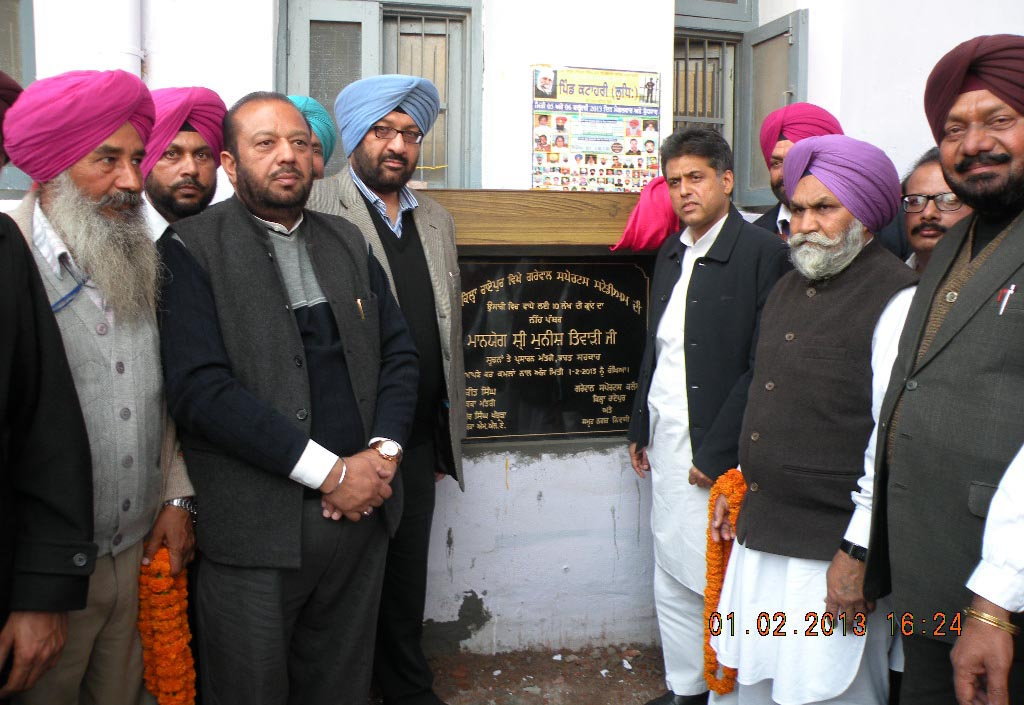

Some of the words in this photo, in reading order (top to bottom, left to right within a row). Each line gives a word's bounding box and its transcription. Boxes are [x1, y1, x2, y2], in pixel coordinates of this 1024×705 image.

[558, 75, 579, 99] ਪਿਂਡ
[575, 78, 613, 100] ਕਟਾਹਰੀ
[612, 79, 639, 102] ਲੁਧਿ:।
[477, 270, 505, 301] ਰਾਏਪੁਰ
[505, 264, 524, 289] ਵਿਖੇ
[525, 265, 553, 287] ਗਰੇਵਾਲ
[553, 265, 592, 291] ਸਪੋਰਟਸ
[591, 275, 633, 311] ਸਟੇਡੀਅਮ
[629, 293, 648, 317] ਦੀ
[463, 326, 511, 351] ਮਾਨਯੋਗ
[509, 326, 529, 352] ਸ਼੍ਰੀ
[529, 327, 567, 352] ਮੁਨੀਸ਼
[566, 326, 605, 351] ਤਿਵਾੜੀ
[603, 325, 623, 349] ਜੀ
[704, 606, 873, 642] 01.02.2013
[883, 605, 968, 642] 16:24